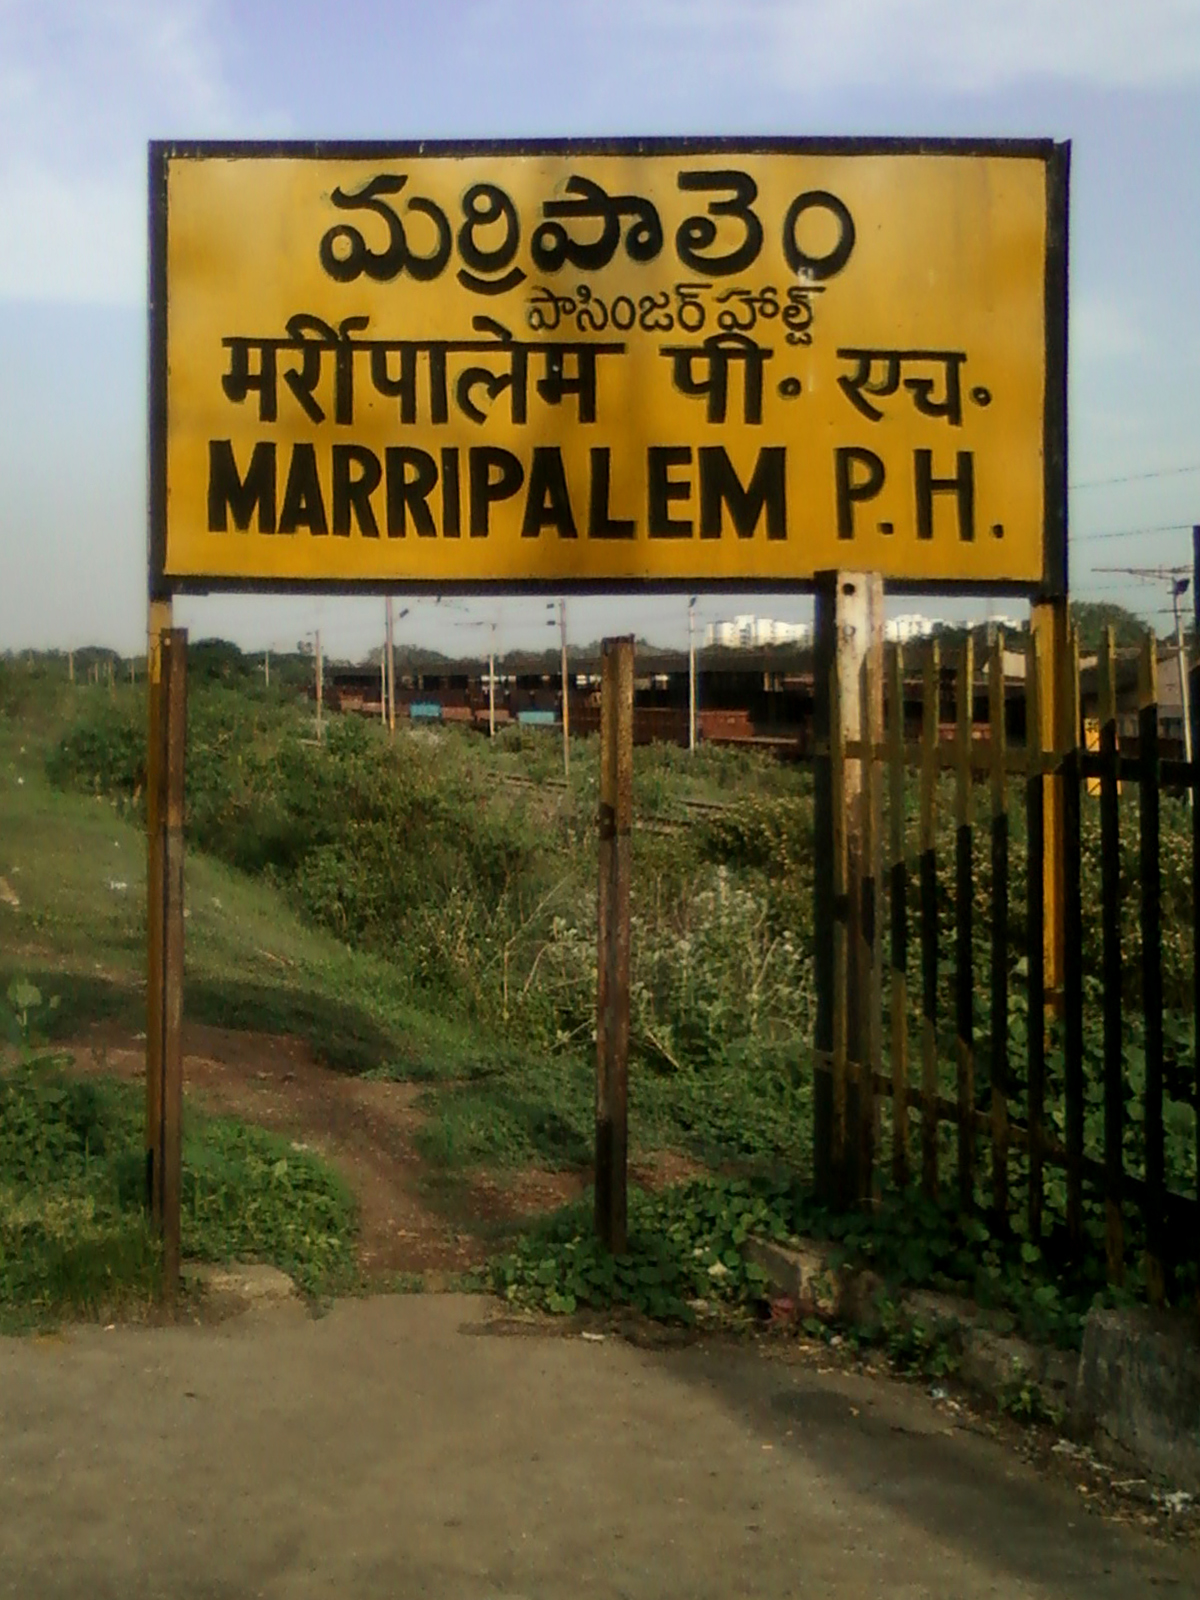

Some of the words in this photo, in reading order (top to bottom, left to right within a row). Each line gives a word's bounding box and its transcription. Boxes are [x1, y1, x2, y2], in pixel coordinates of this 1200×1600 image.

[311, 162, 859, 301] మర్రిపాలెం
[522, 273, 825, 349] పాసింజర్ హాల్ట్
[218, 304, 631, 430] मर्रीपालेम
[649, 325, 1002, 429] पी॰एच॰
[205, 436, 793, 541] MARRIPALEM
[828, 441, 1008, 542] P.H.